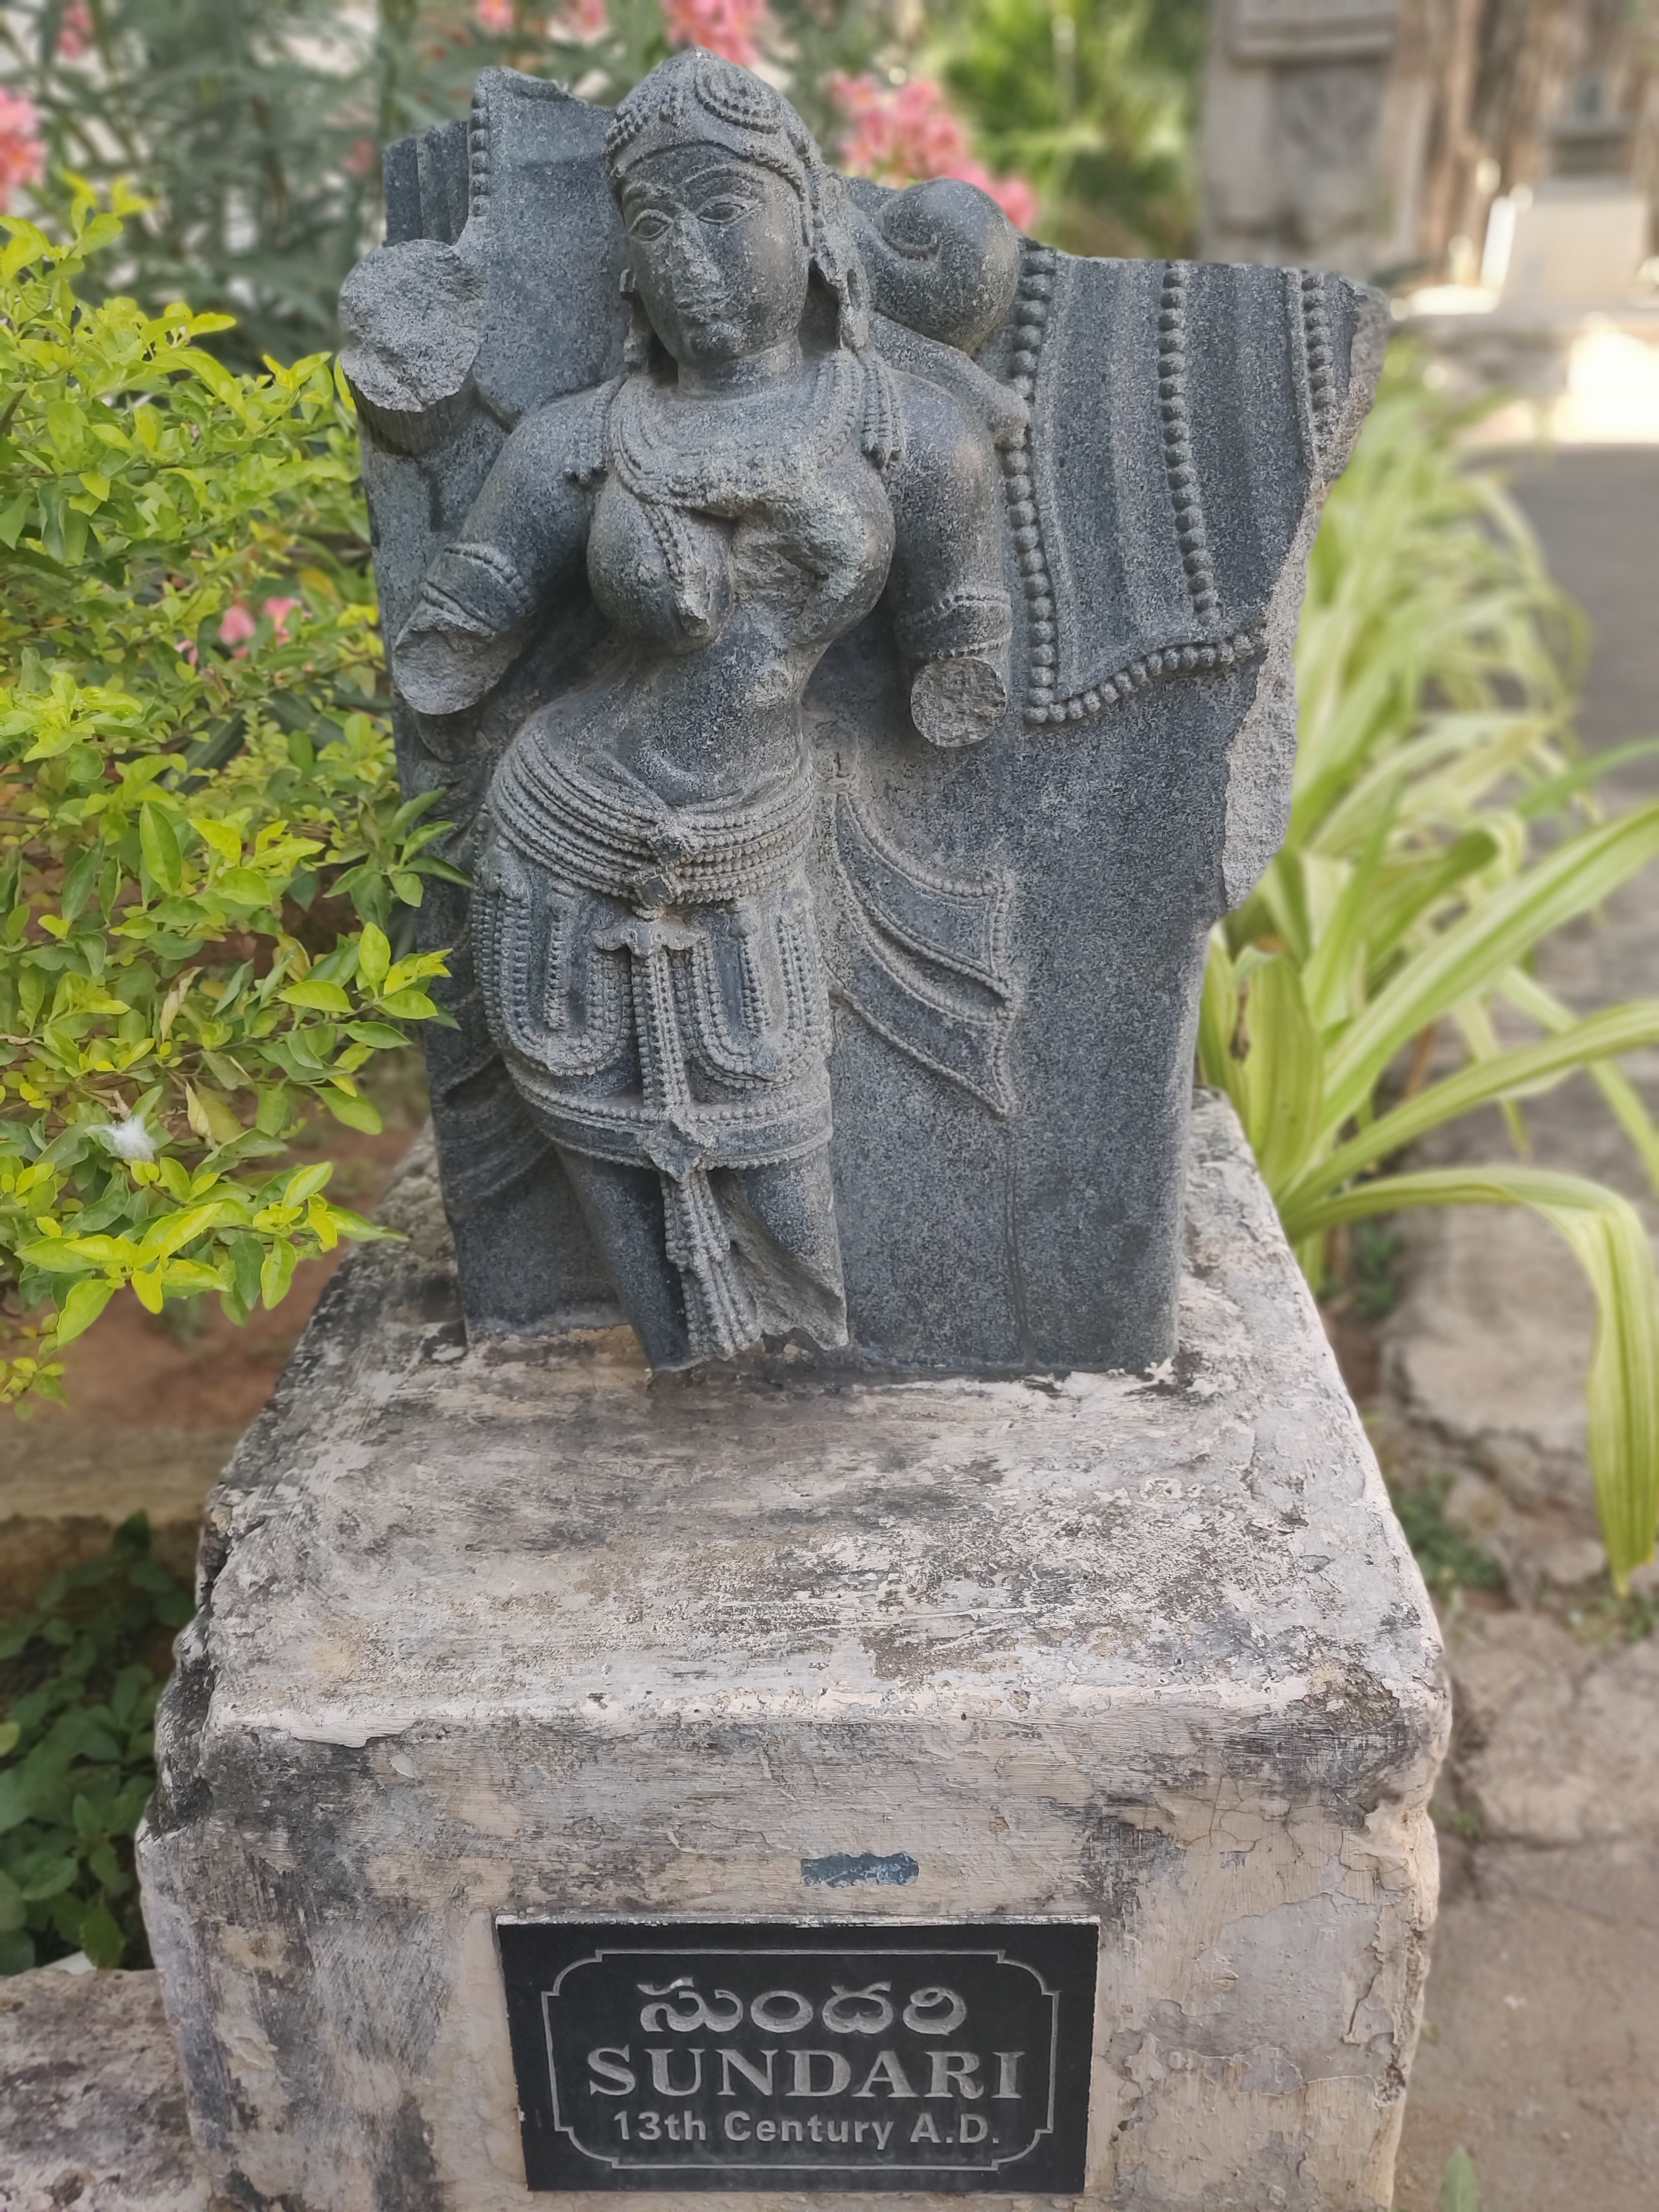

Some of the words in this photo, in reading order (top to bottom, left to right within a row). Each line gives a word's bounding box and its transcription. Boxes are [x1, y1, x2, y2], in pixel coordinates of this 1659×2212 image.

[631, 1968, 977, 2043] సుందరి
[576, 2037, 1030, 2110] SUNDARI
[606, 2099, 709, 2149] 13th
[719, 2102, 901, 2157] Century
[902, 2104, 988, 2152] A.D